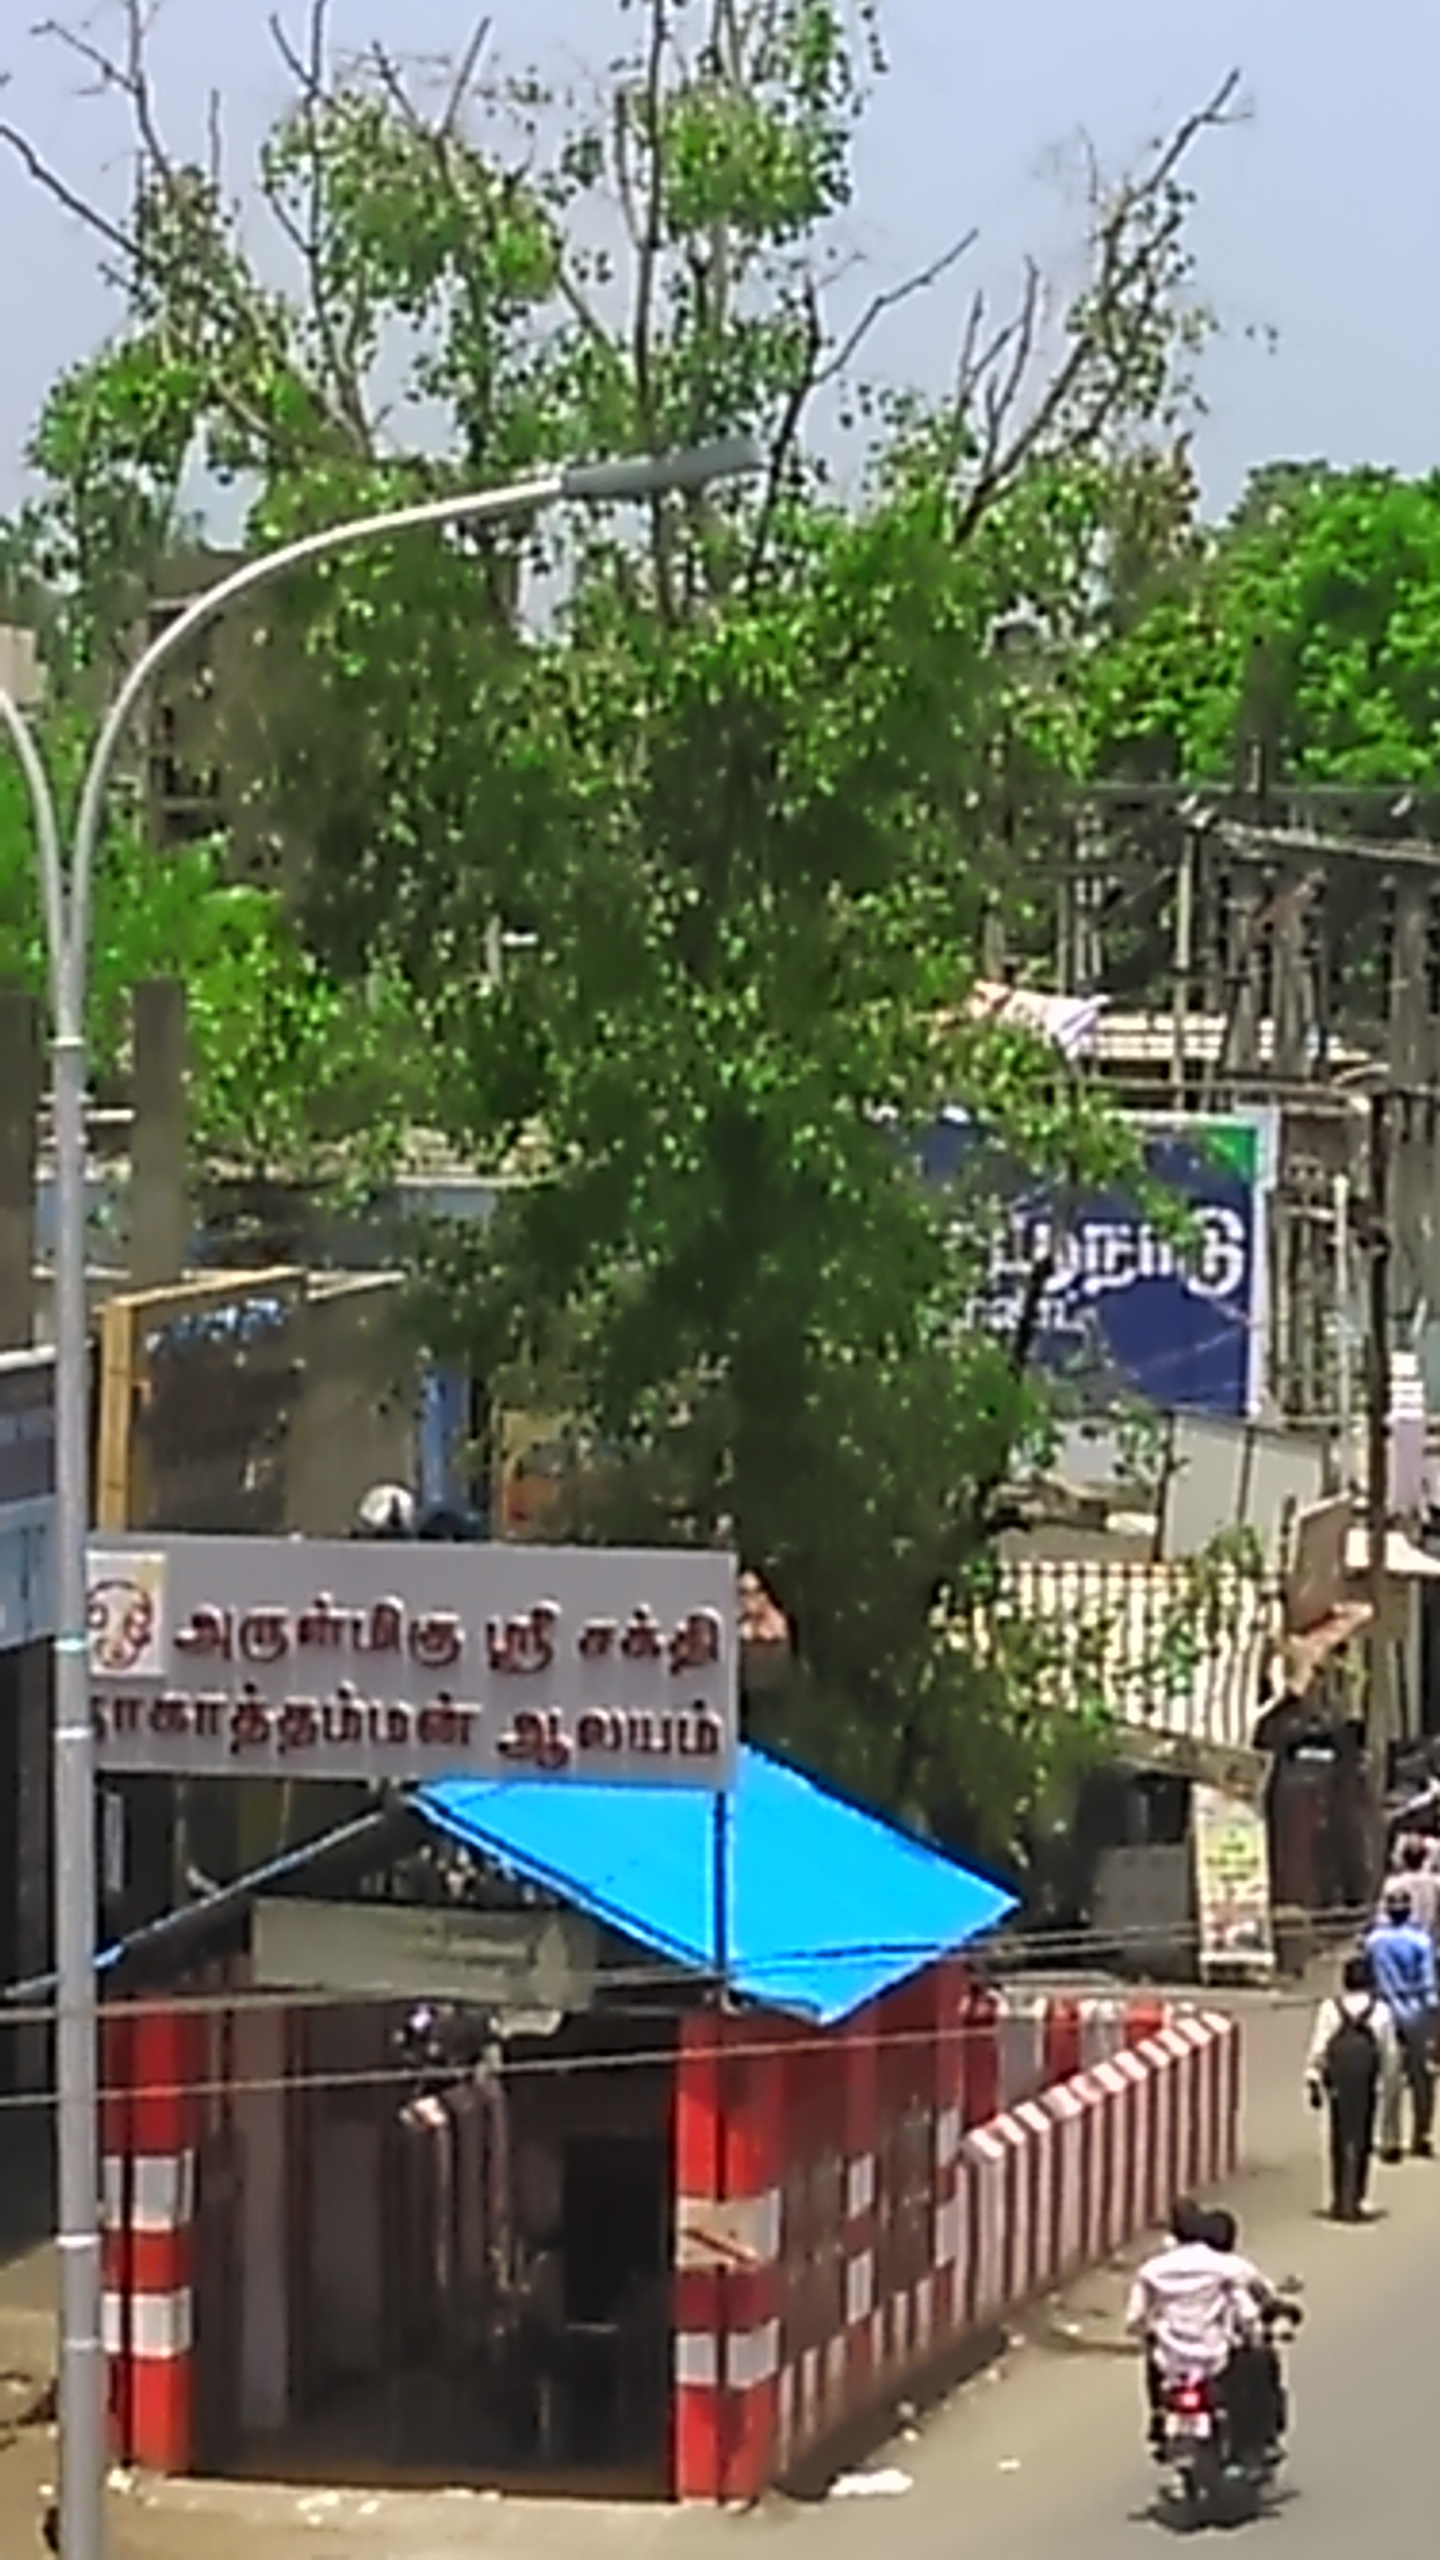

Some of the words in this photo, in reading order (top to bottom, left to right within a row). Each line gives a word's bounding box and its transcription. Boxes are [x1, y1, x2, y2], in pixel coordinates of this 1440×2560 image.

[171, 1587, 475, 1674] அ௫ள்மிகு
[482, 1596, 562, 1682] ஸ்ரீ
[569, 1599, 729, 1676] சக்தி
[77, 1677, 491, 1757] பாகாத்தம்மன்
[492, 1691, 728, 1777] ஆலயம்